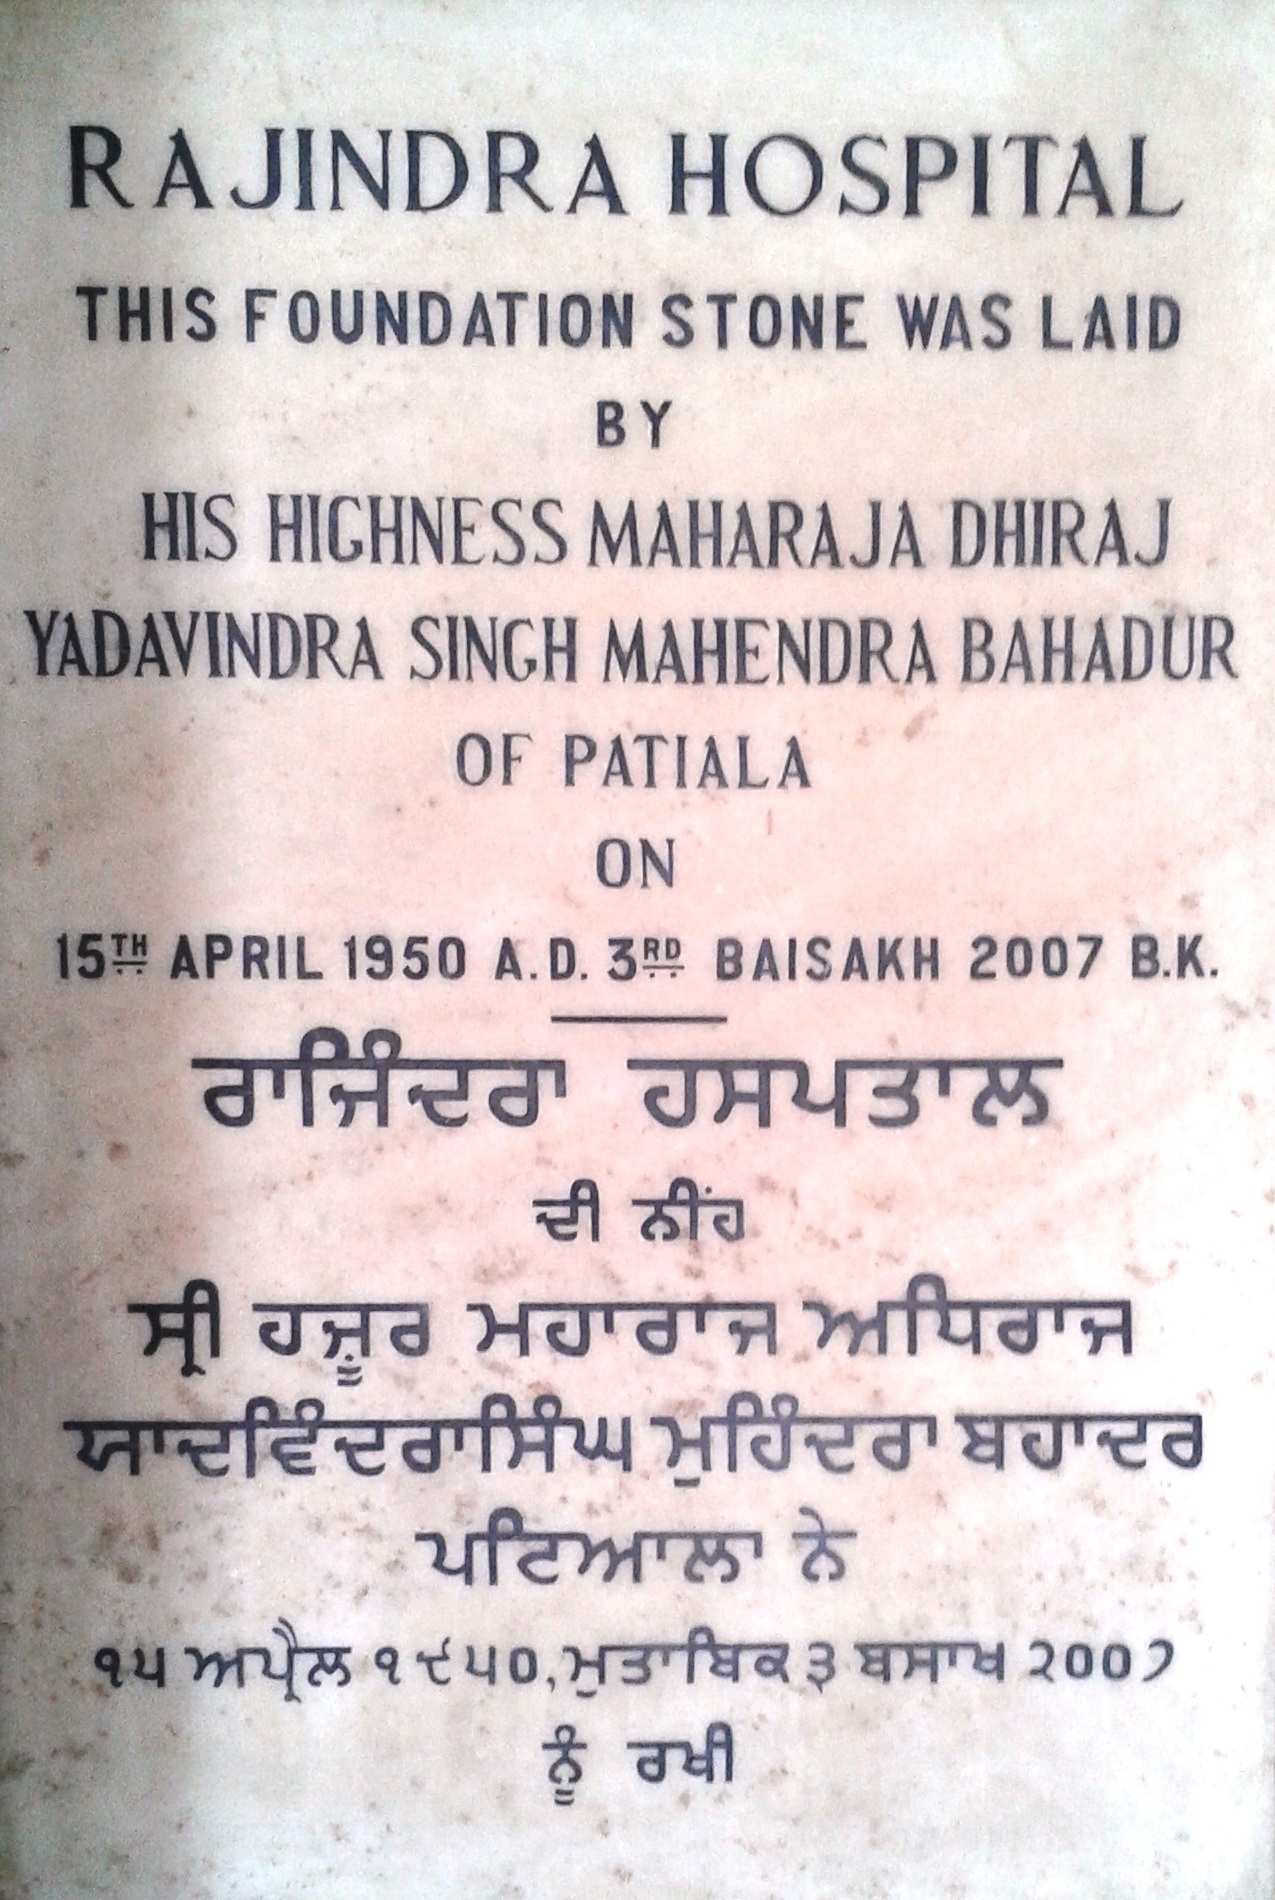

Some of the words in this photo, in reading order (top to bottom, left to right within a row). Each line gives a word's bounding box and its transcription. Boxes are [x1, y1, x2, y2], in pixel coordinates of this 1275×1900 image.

[33, 113, 642, 236] RAJINDRA
[654, 117, 1204, 239] HOSPITAL
[65, 271, 229, 354] THIS
[233, 273, 646, 368] FOUNDATION
[650, 279, 882, 366] STONE
[887, 282, 1015, 360] WAS
[1032, 285, 1188, 358] LAID
[586, 390, 683, 460] BY
[132, 482, 246, 573] HIS
[259, 485, 579, 579] HIGHNESS
[576, 491, 936, 580] MAHARAJA
[941, 490, 1184, 575] DHIRAJ
[15, 602, 402, 691] YADAVINDRA
[400, 602, 591, 692] SINGH
[595, 612, 950, 691] MAHENDRA
[951, 609, 1252, 697] BAHADUR
[445, 721, 542, 796] OF
[559, 728, 822, 797] PATIALA
[584, 824, 689, 904] ON
[47, 926, 151, 986] 15TH
[159, 922, 336, 999] APRIL
[337, 929, 476, 991] 1950
[477, 925, 594, 993] A.D.
[601, 928, 689, 991] 3RD
[704, 926, 949, 995] BAISAKH
[956, 924, 1112, 991] 2007
[1124, 925, 1220, 992] B.K.
[168, 1022, 595, 1149] ਰਾਜਿੰਦਰਾ
[613, 1039, 1078, 1144] ਹਸਪਤਾਲ
[518, 1176, 610, 1255] ਦੀ
[619, 1168, 764, 1262] ਨੀਂਹ
[120, 1277, 227, 1383] ਸ੍ਰੀ
[233, 1281, 447, 1392] ਹਜ਼ੂਰ
[454, 1291, 791, 1377] ਮਹਾਰਾਜ
[788, 1267, 1152, 1374] ਅਧਿਰਾਜ
[38, 1378, 644, 1495] ਯਾਦਵਿੰਦਰਾਸਿੰਘ
[642, 1383, 943, 1497] ਮੁਹਿੰਦਰਾ
[943, 1399, 1222, 1483] ਬਹਾਦਰ
[403, 1487, 787, 1603] ਪਰਿਆਲਾ
[775, 1495, 870, 1600] ਨੇ
[86, 1631, 176, 1703] ੧੫
[174, 1610, 365, 1714] ਅਪ੍ਰੈਲ
[363, 1631, 547, 1698] ੧੯੫੦
[554, 1617, 799, 1703] ਮੁਤਾਬਿਕ
[795, 1631, 845, 1701] ੩
[845, 1630, 1016, 1700] ਬਸਾਖ
[1015, 1626, 1190, 1690] ੨੦੦੭
[528, 1712, 598, 1816] ਨੂੰ
[615, 1713, 745, 1797] ਰਖੀ